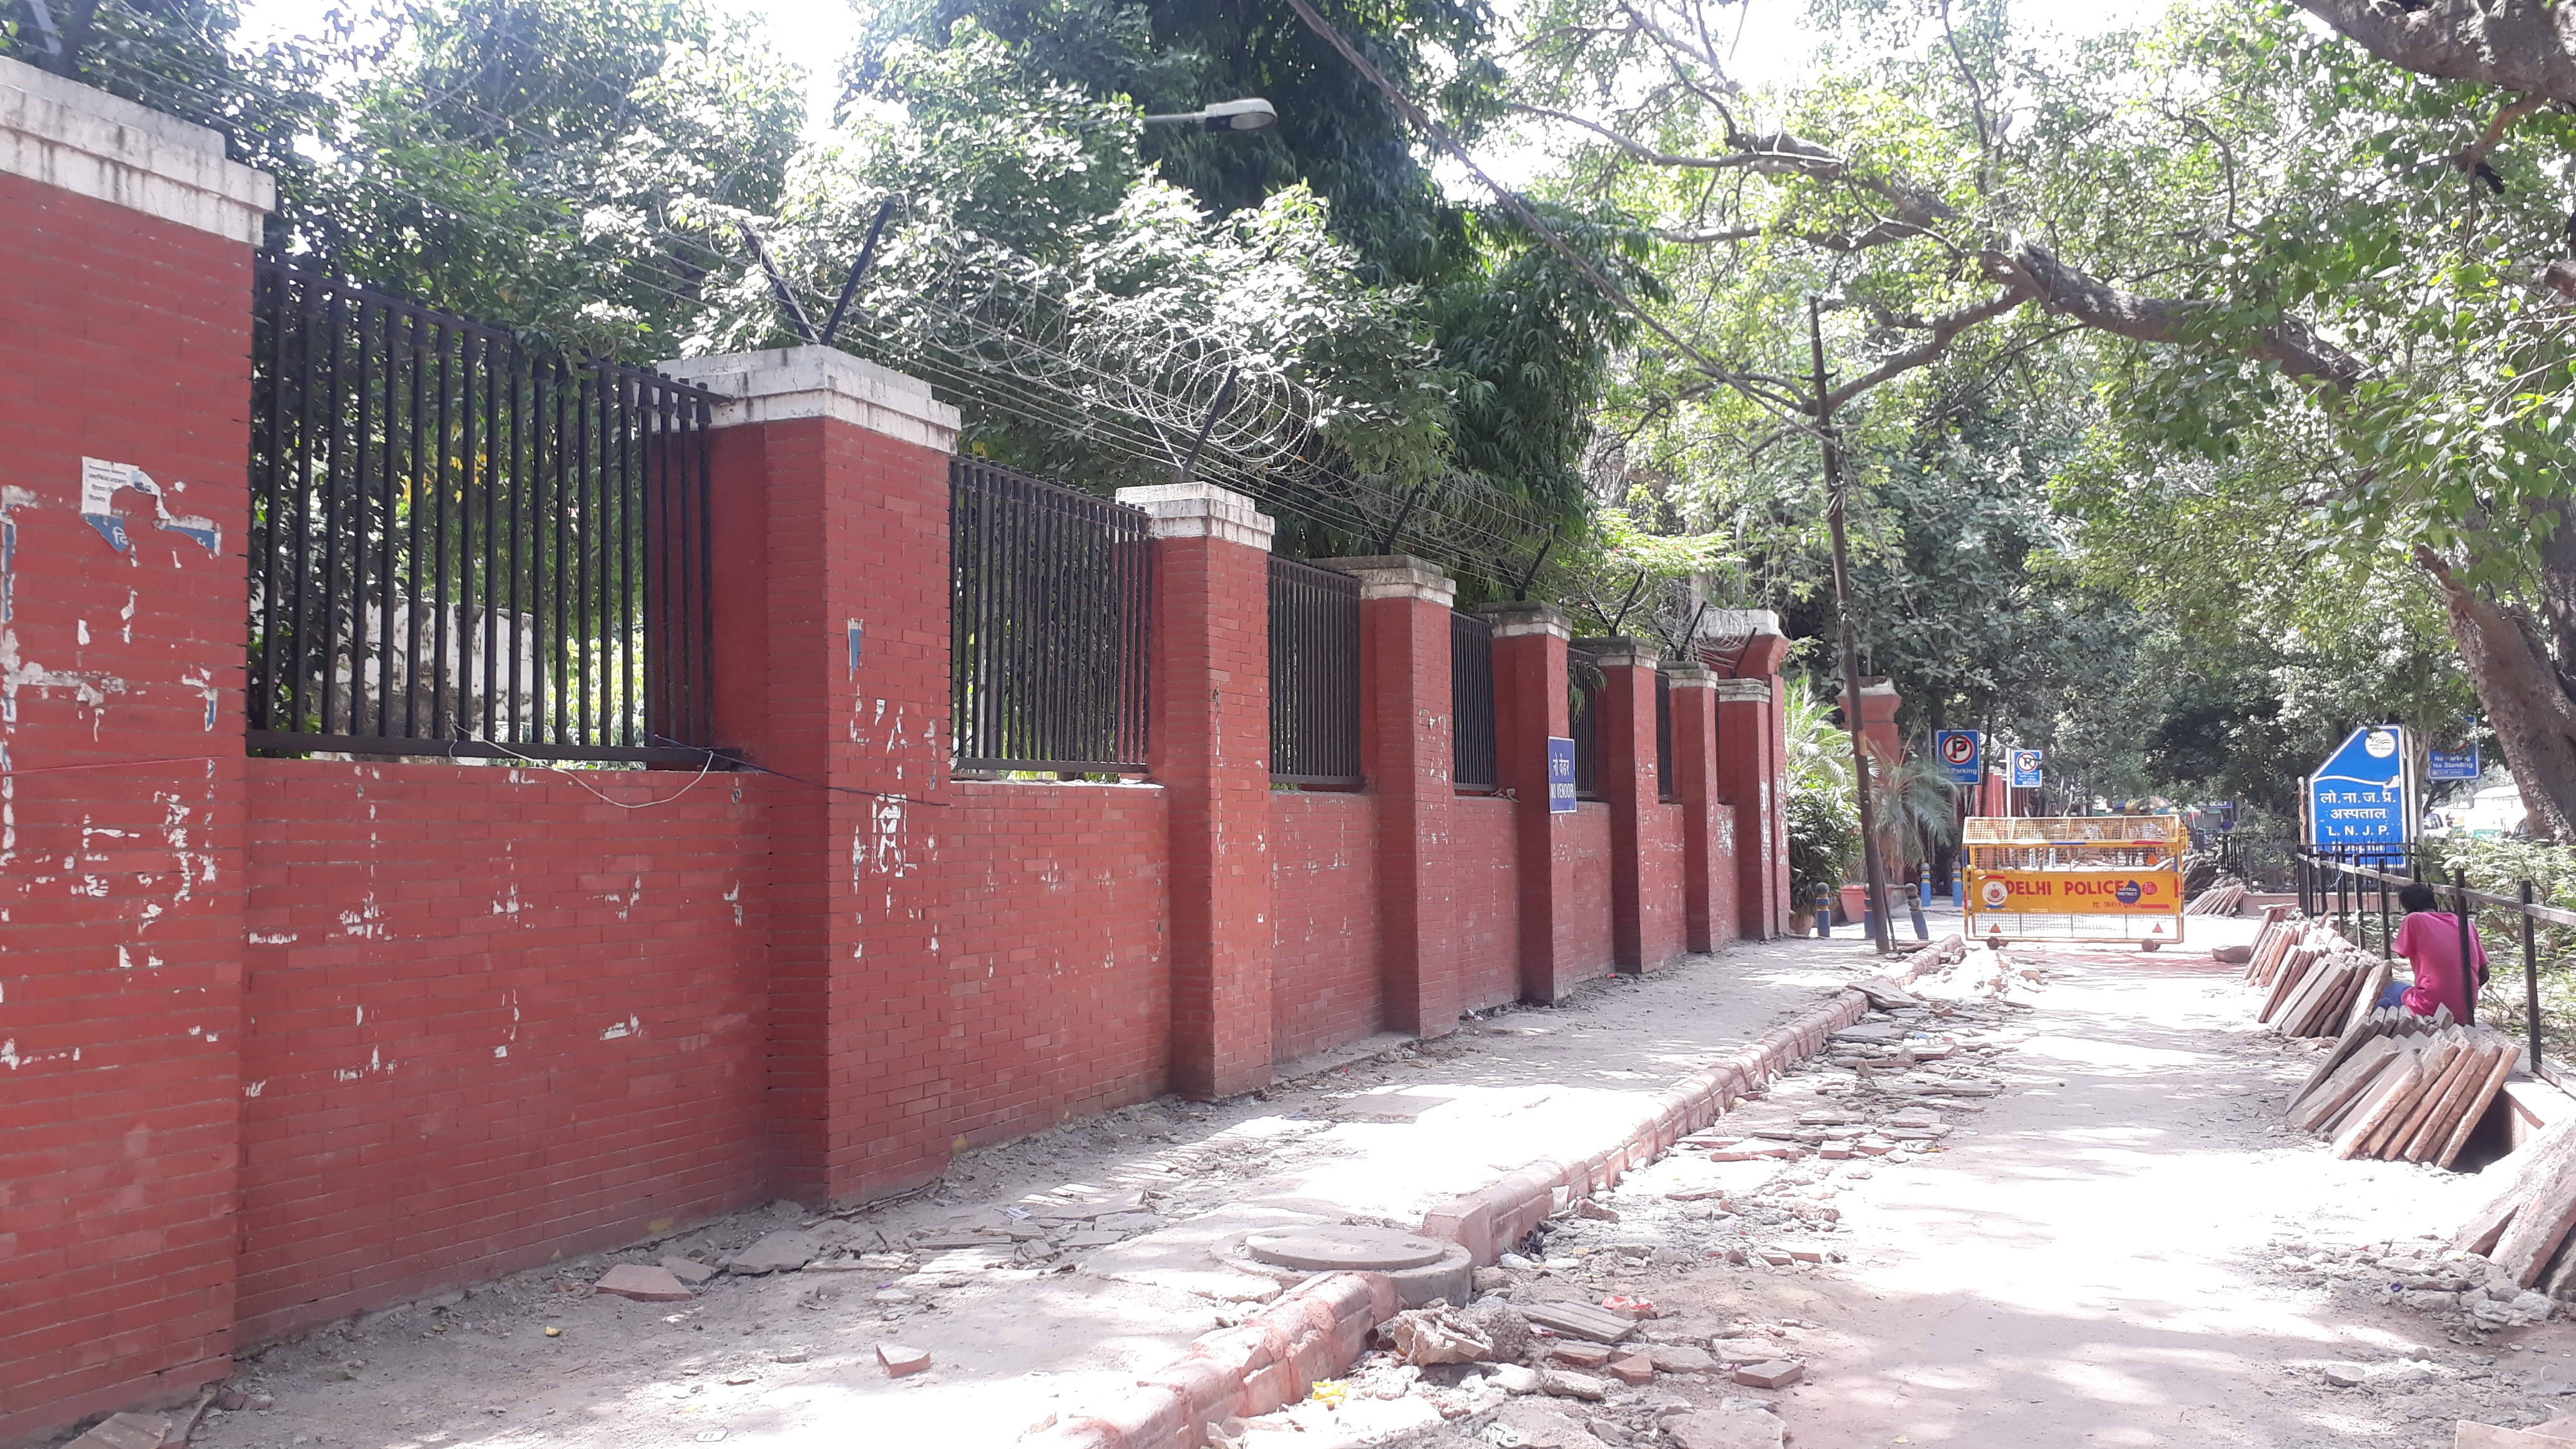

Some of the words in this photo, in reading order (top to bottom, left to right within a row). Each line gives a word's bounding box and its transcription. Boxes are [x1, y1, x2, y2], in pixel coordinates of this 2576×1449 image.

[2005, 879, 2052, 896] DELHI
[2064, 879, 2124, 895] POLICE